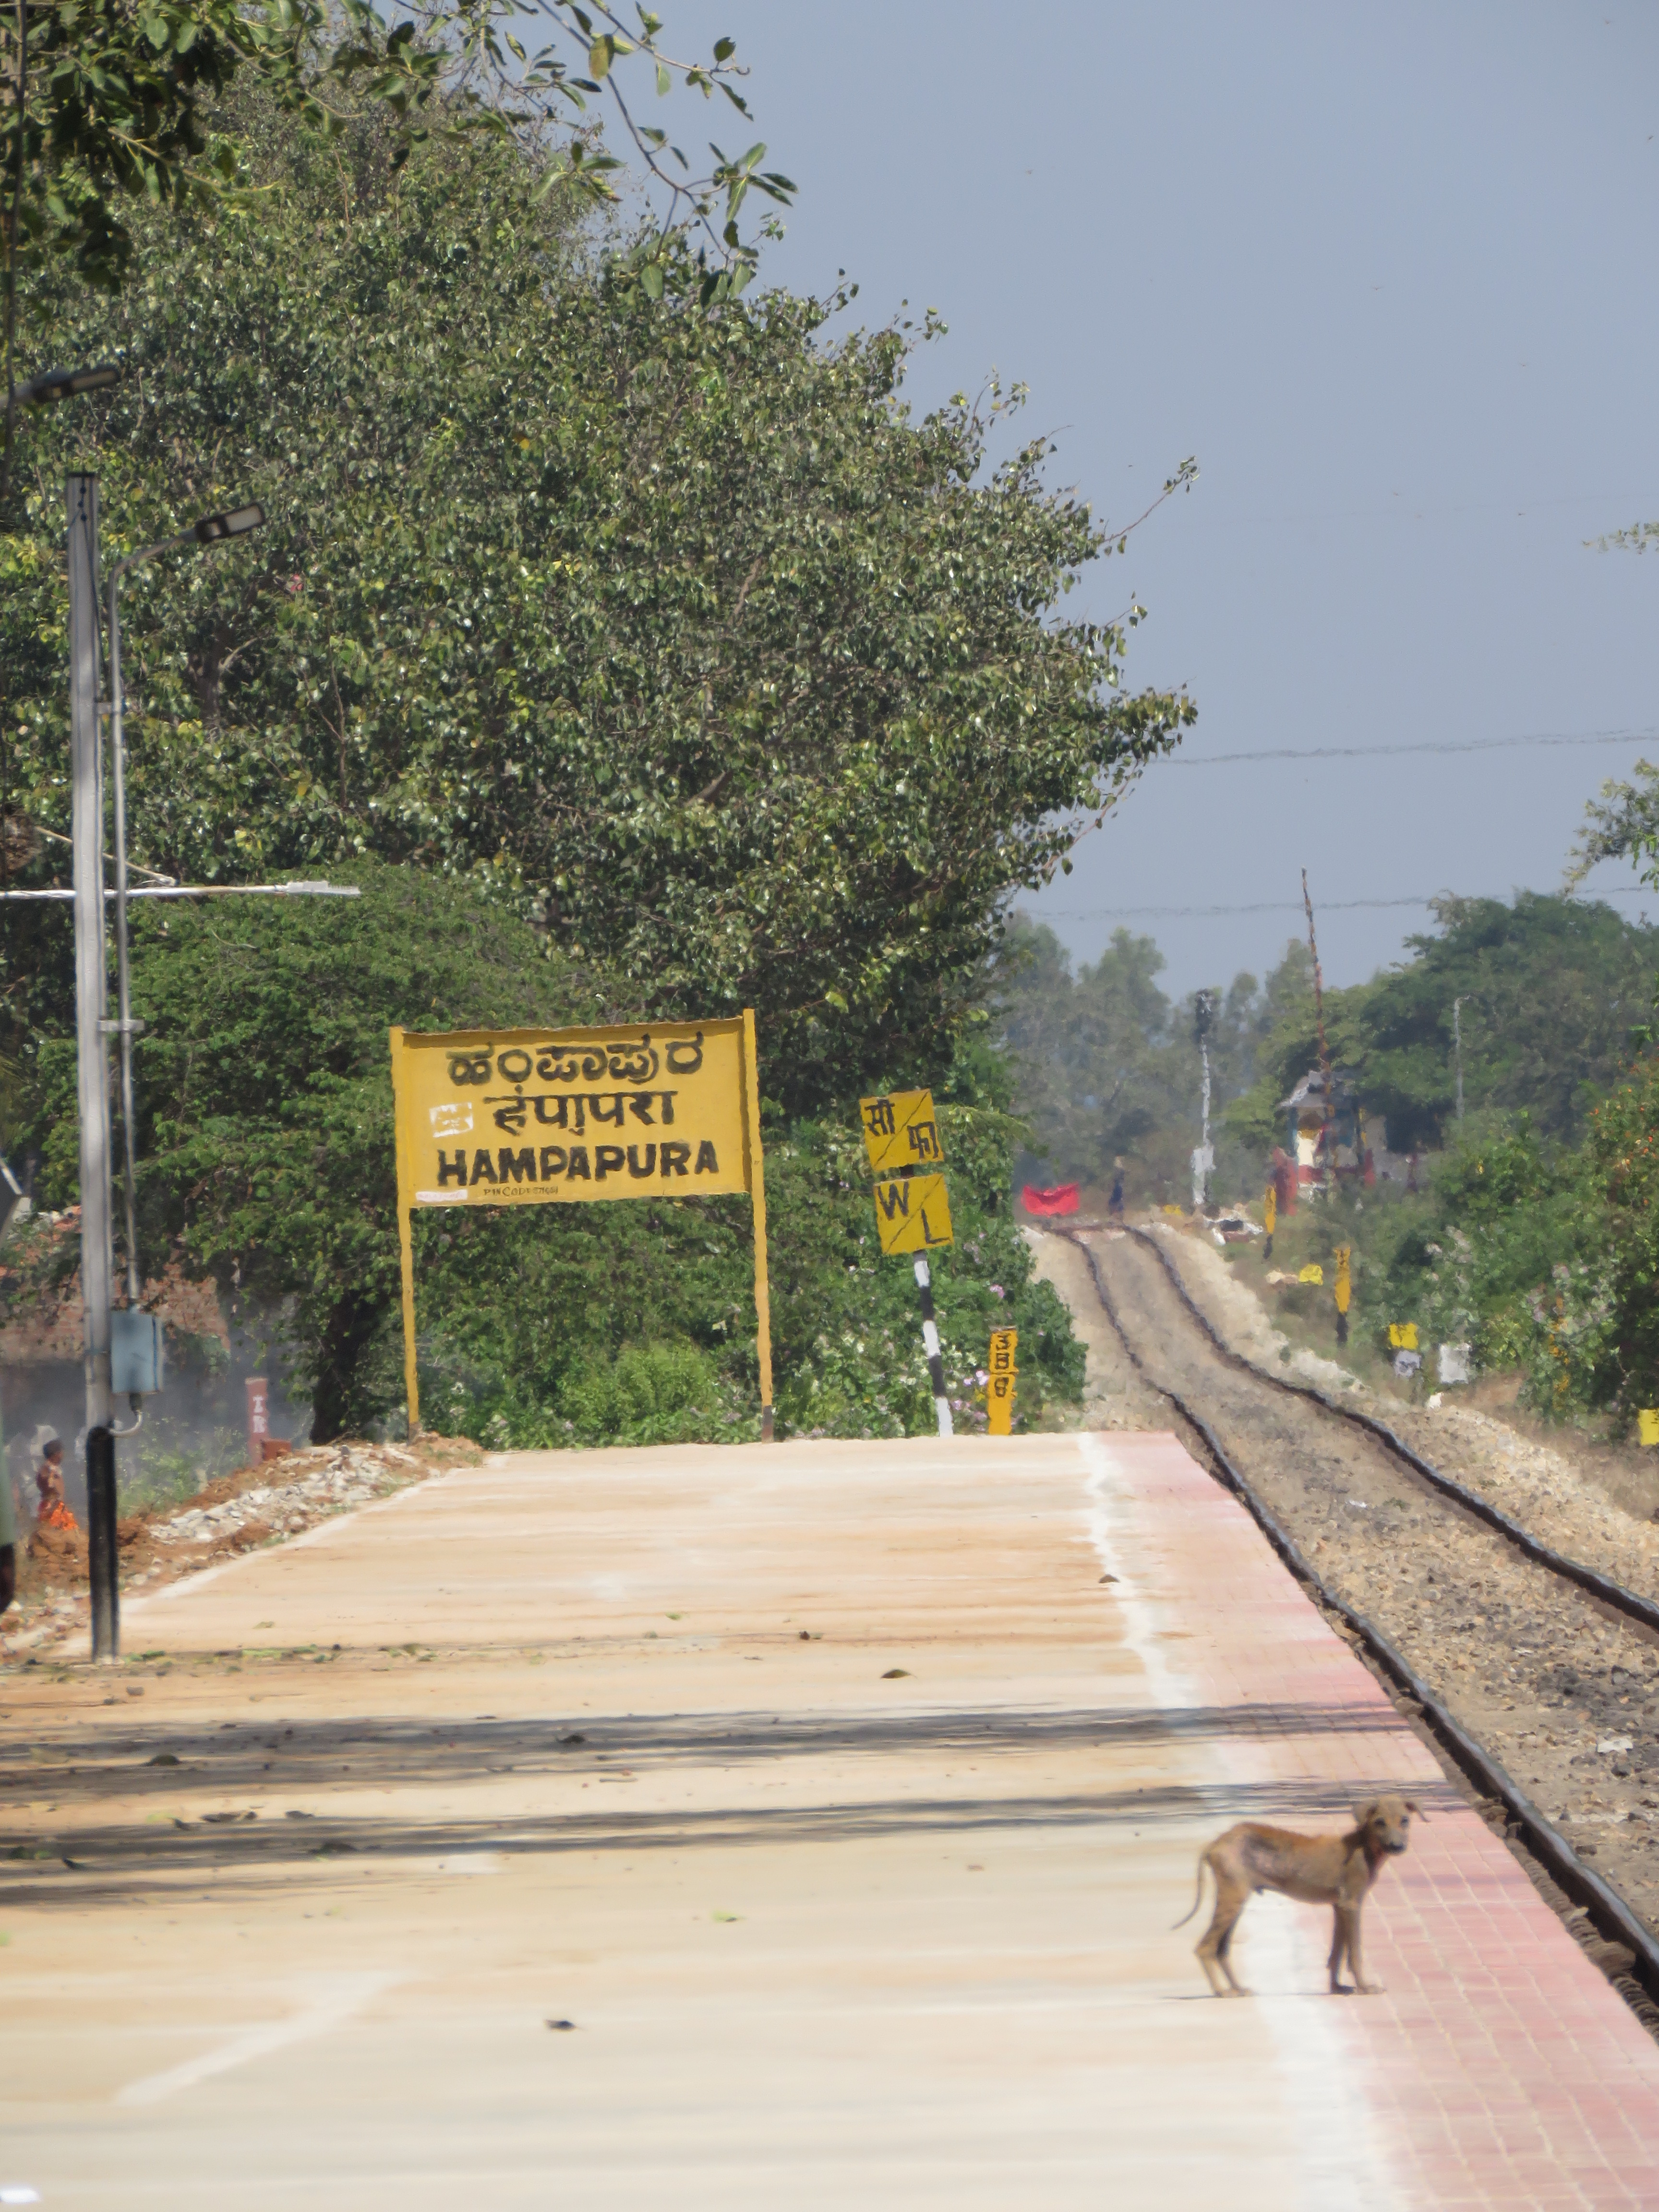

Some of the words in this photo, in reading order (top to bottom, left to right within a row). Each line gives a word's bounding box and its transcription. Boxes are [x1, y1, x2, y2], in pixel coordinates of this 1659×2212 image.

[445, 1027, 709, 1096] ಹಂಪಾಪುರ
[484, 1077, 681, 1142] हंपापरा
[436, 1137, 724, 1187] HAMPAPURA